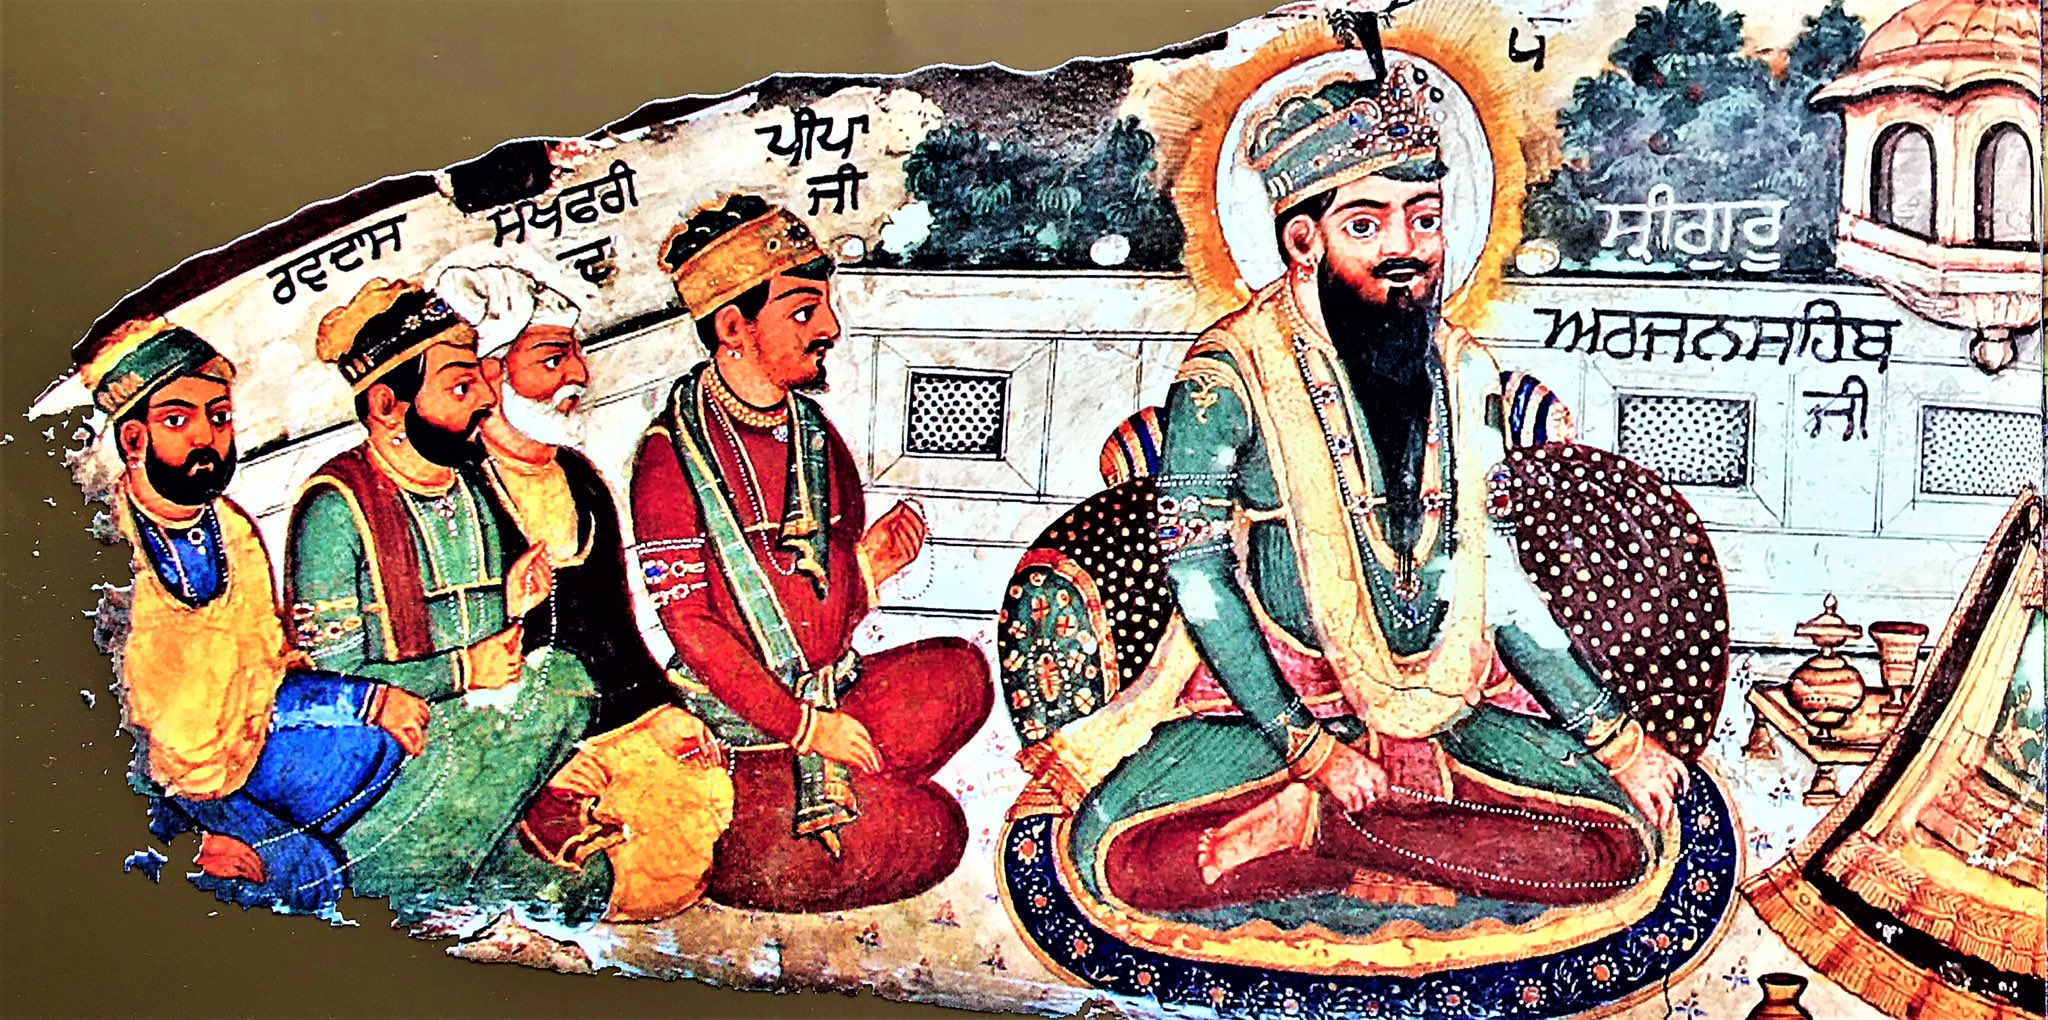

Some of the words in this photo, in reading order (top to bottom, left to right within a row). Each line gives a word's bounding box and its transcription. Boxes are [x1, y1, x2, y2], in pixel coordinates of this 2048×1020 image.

[744, 101, 878, 172] ਪੀਪਾ
[263, 206, 415, 313] ਰਵਦਾਸ
[479, 153, 654, 258] ਸਖਫਰੀ
[545, 230, 632, 301] ਦ
[799, 158, 877, 228] ਜੀ
[1586, 177, 1794, 282] ਸ੍ਰੀਗੁਰੂ
[1522, 291, 1908, 376] ਅਰਜਨਸਹਿਥ
[1795, 367, 1885, 450] ਜੀ